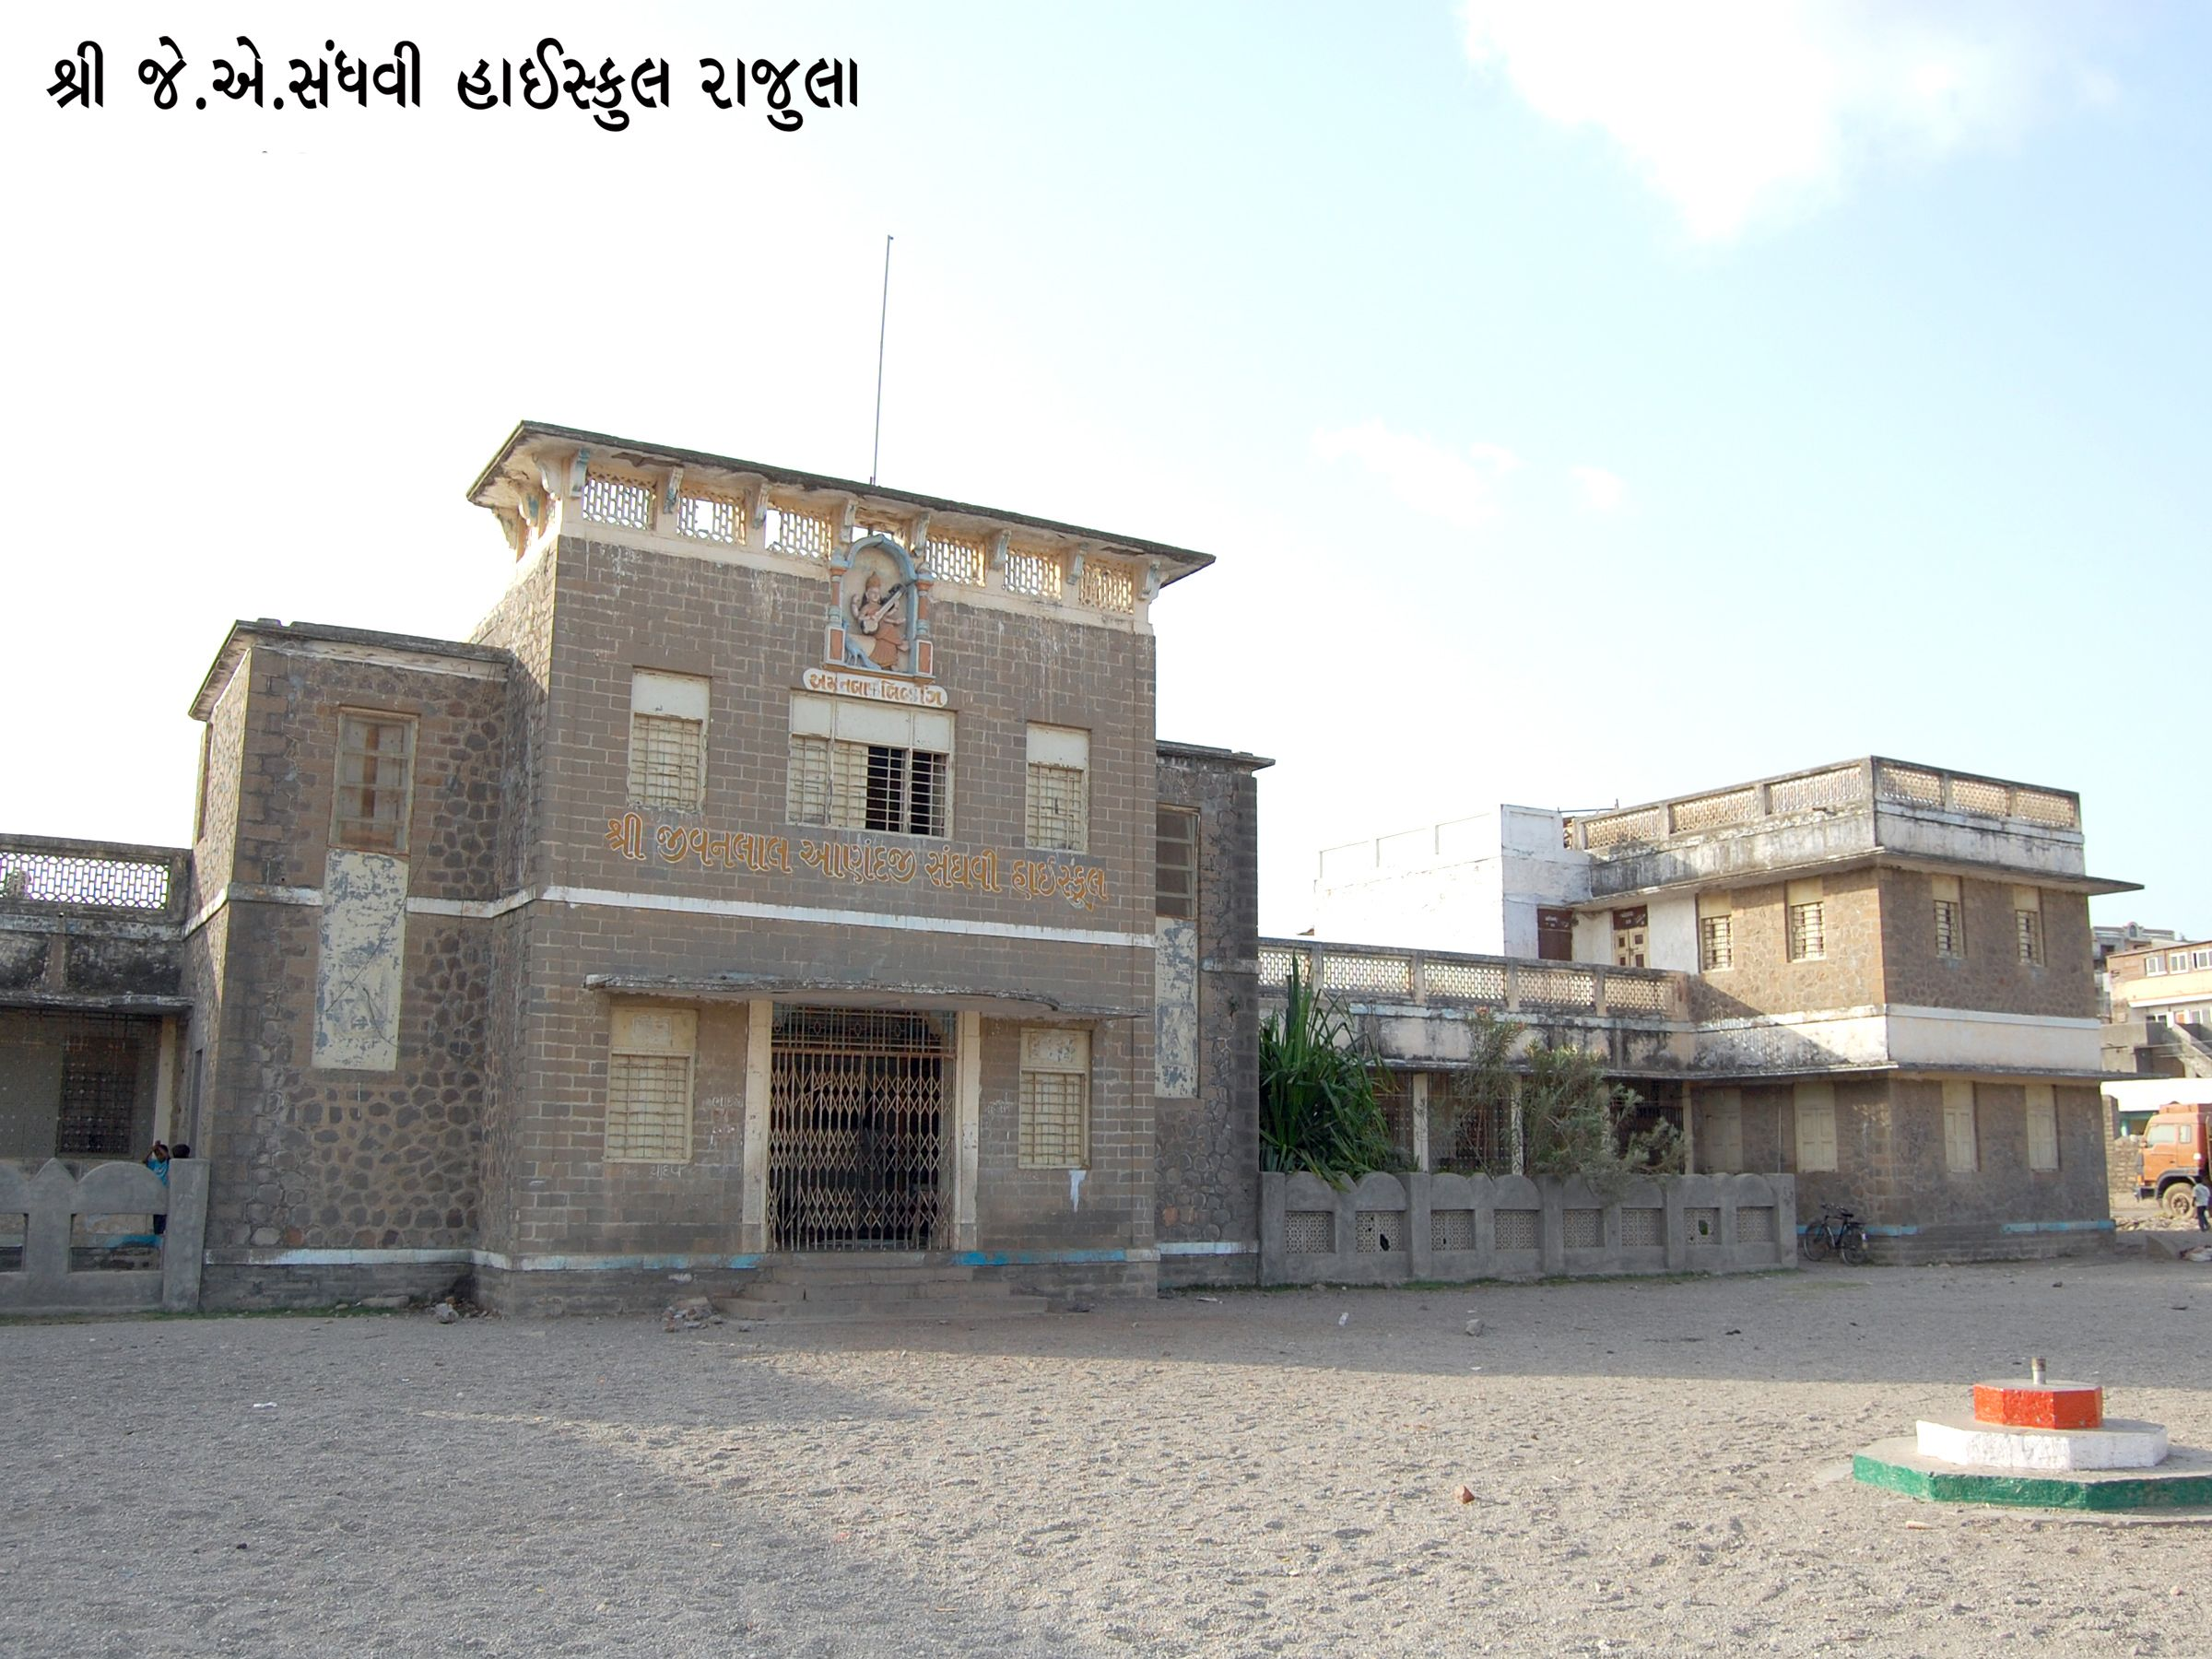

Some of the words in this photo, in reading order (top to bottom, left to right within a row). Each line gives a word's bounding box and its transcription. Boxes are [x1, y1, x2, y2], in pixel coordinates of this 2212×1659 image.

[42, 36, 112, 115] શ્રી
[129, 26, 293, 118] જે.એ.
[286, 31, 430, 120] સંધવી
[457, 36, 674, 128] હાઈસ્કુલ
[688, 33, 881, 153] રાજુલા
[806, 672, 870, 698] અમૃતબા
[876, 678, 943, 709] બિલ્ડીંગ
[602, 809, 648, 869] શ્રી
[652, 823, 798, 881] જીવનલાલ
[796, 832, 920, 887] આણંદજી
[921, 841, 1005, 895] સંધવી
[1007, 853, 1110, 914] હાઈસ્કૂલ